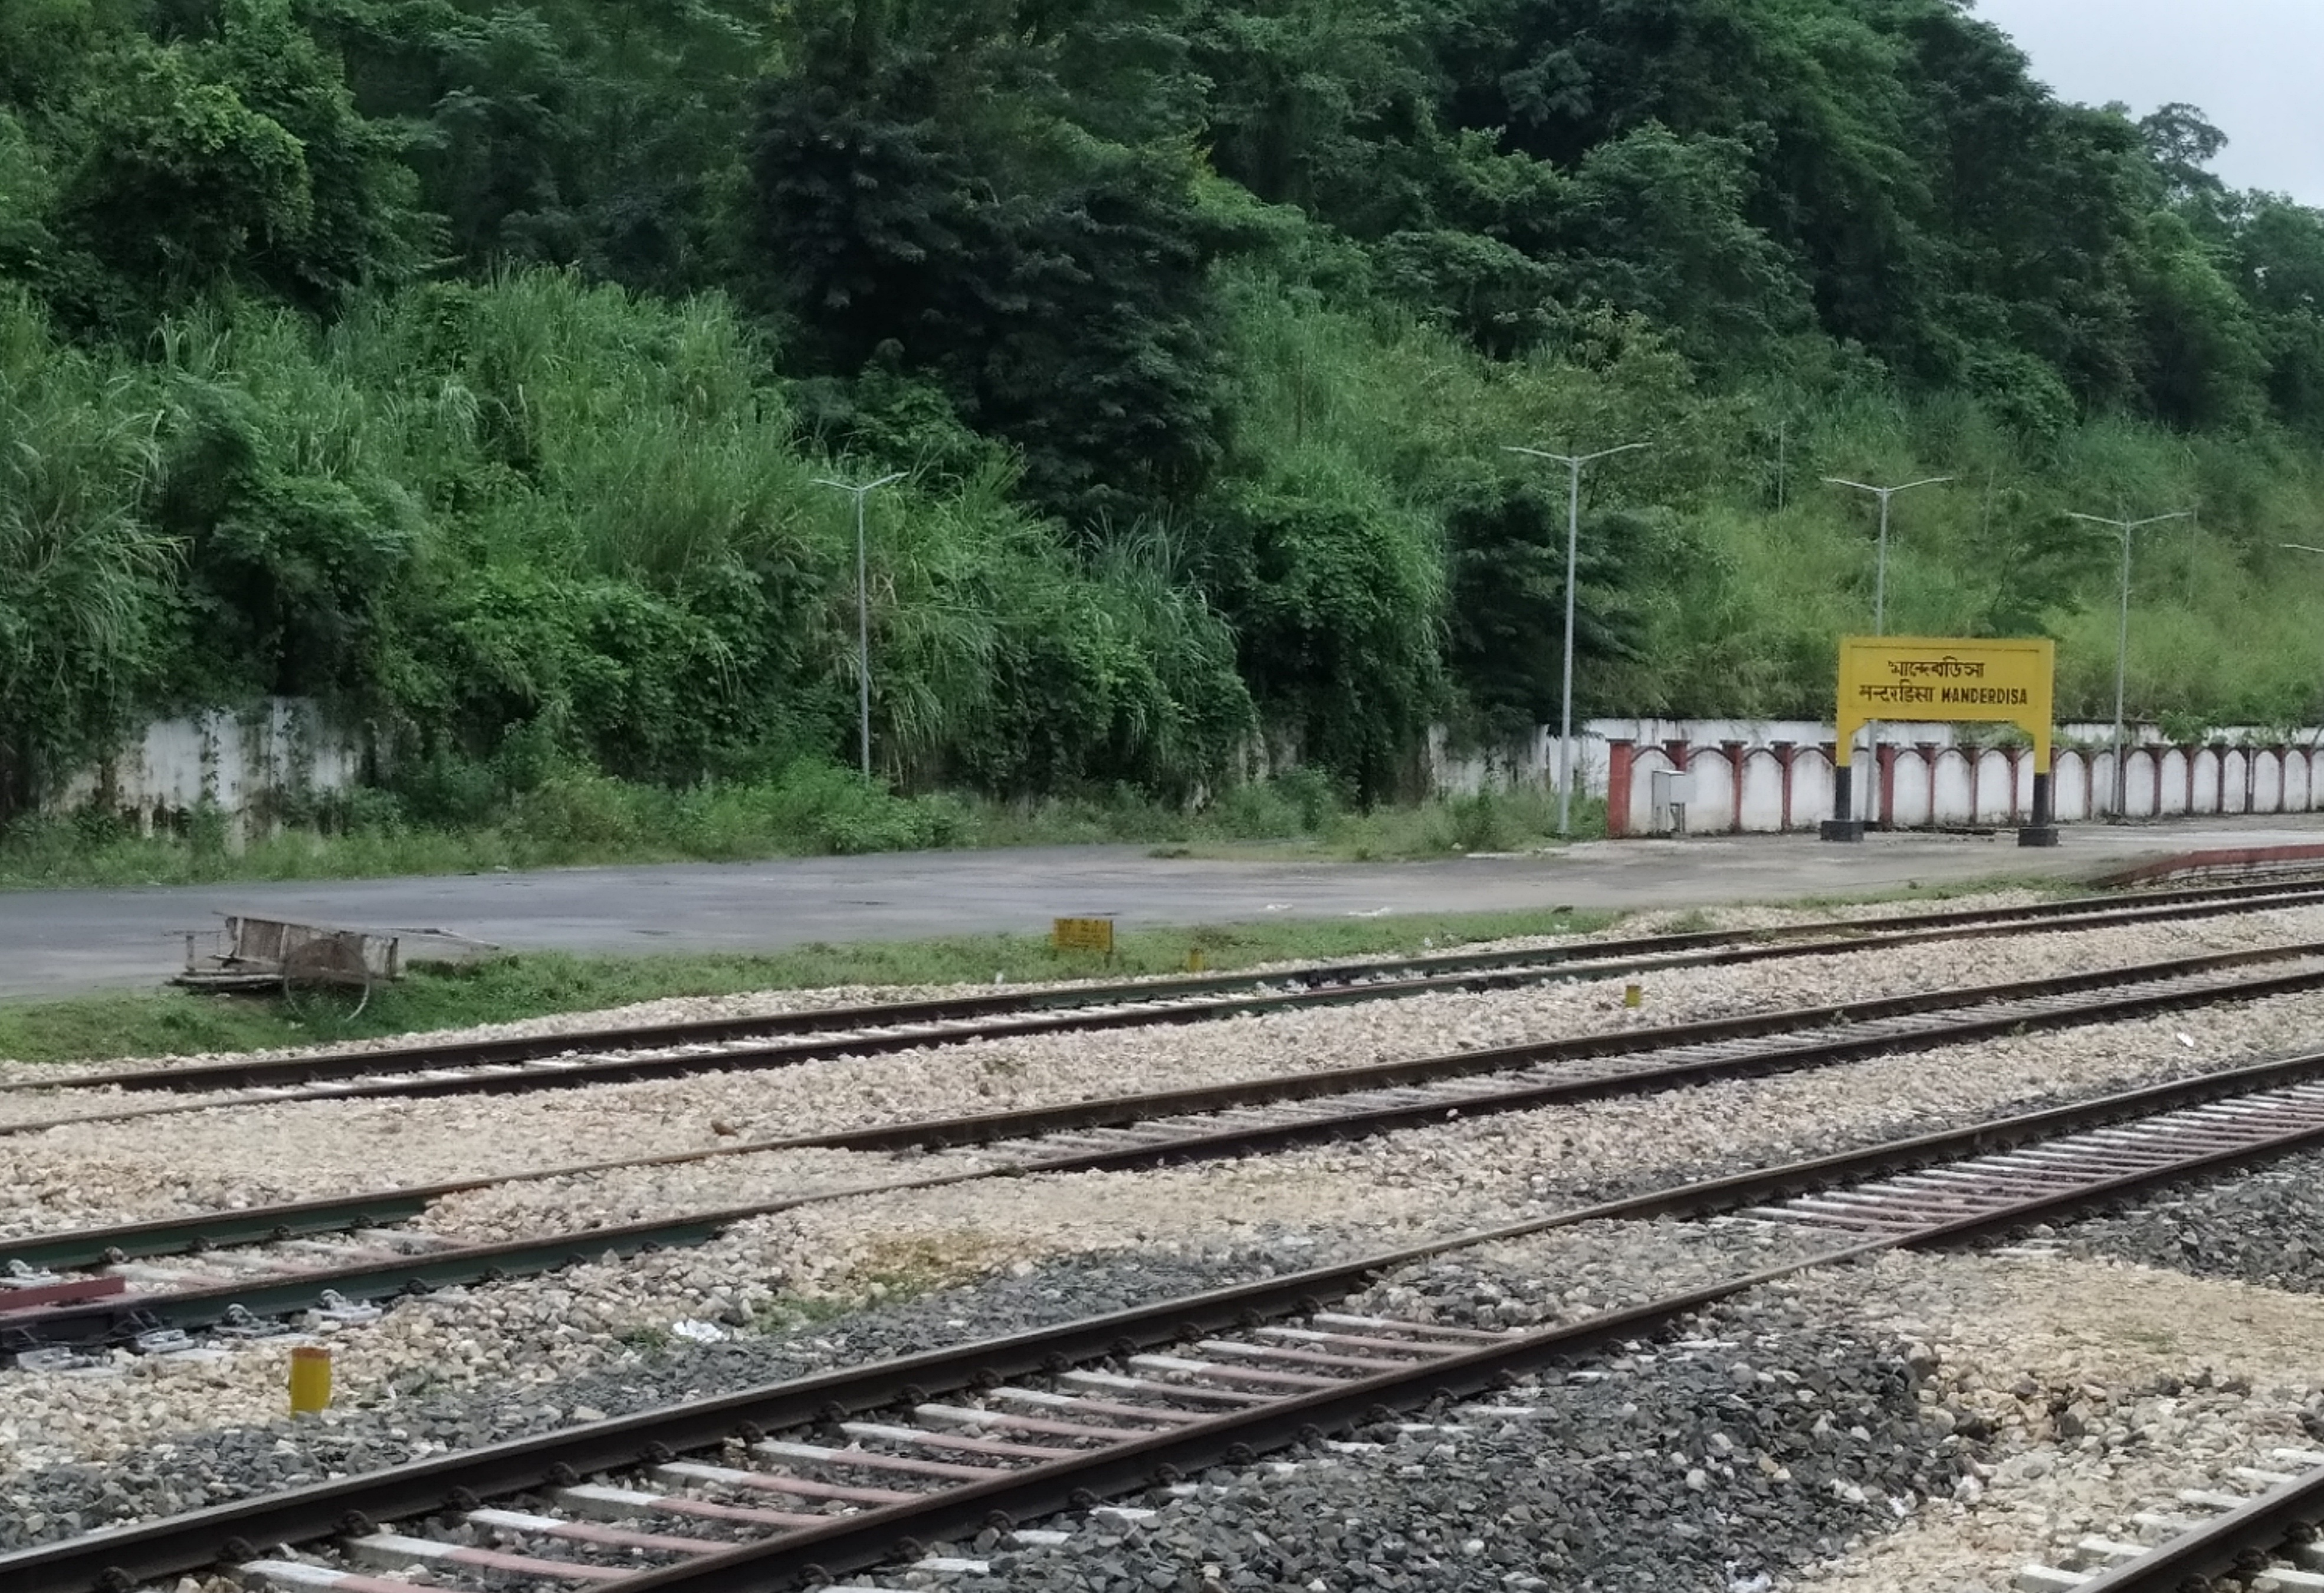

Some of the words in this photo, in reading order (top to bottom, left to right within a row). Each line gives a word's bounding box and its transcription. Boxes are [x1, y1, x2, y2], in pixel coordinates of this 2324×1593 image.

[1880, 653, 1988, 682] মান্দেৰডিসা
[1854, 672, 1939, 706] मन्टरडिसा
[1940, 682, 2030, 707] MANDERDISA